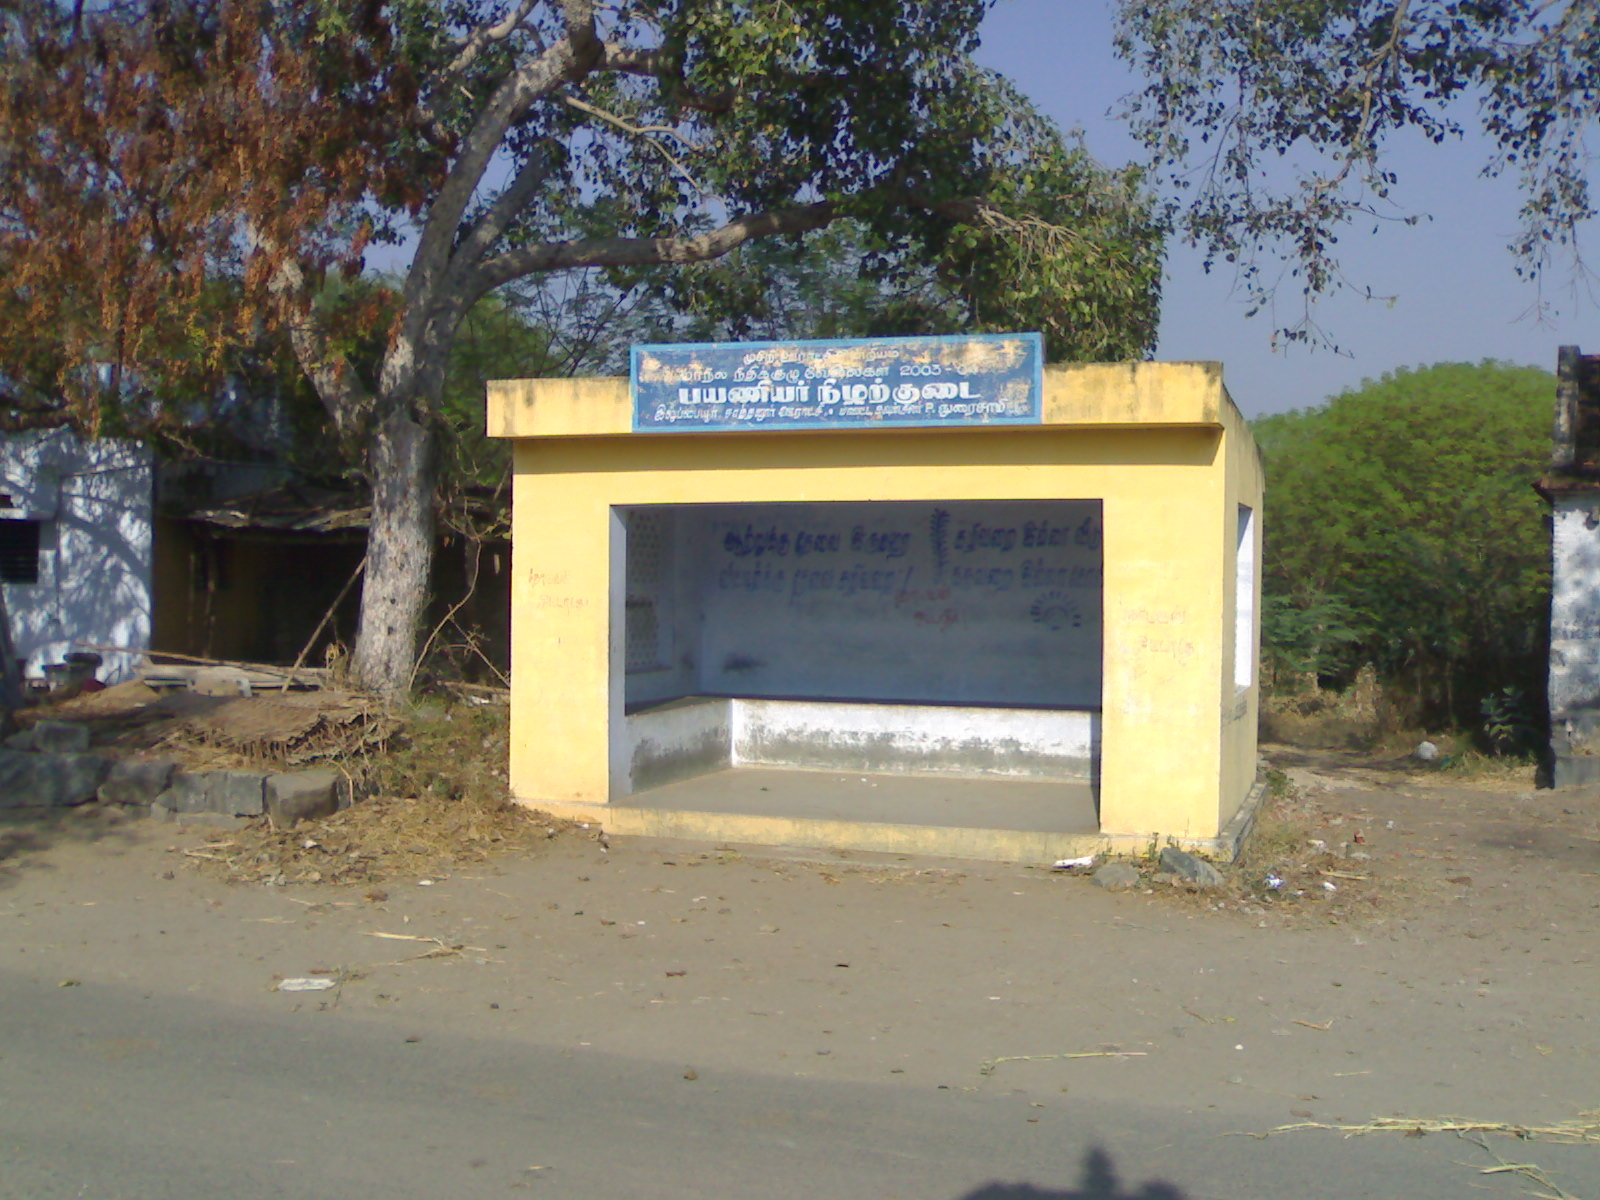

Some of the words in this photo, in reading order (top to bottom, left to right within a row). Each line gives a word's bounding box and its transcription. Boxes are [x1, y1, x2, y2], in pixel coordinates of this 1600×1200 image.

[726, 357, 806, 385] நிதிக்குழு
[896, 360, 947, 378] 2003
[675, 374, 811, 405] பயணியர்
[811, 373, 987, 409] நழற்குடை
[932, 395, 1011, 424] துரைசாமி